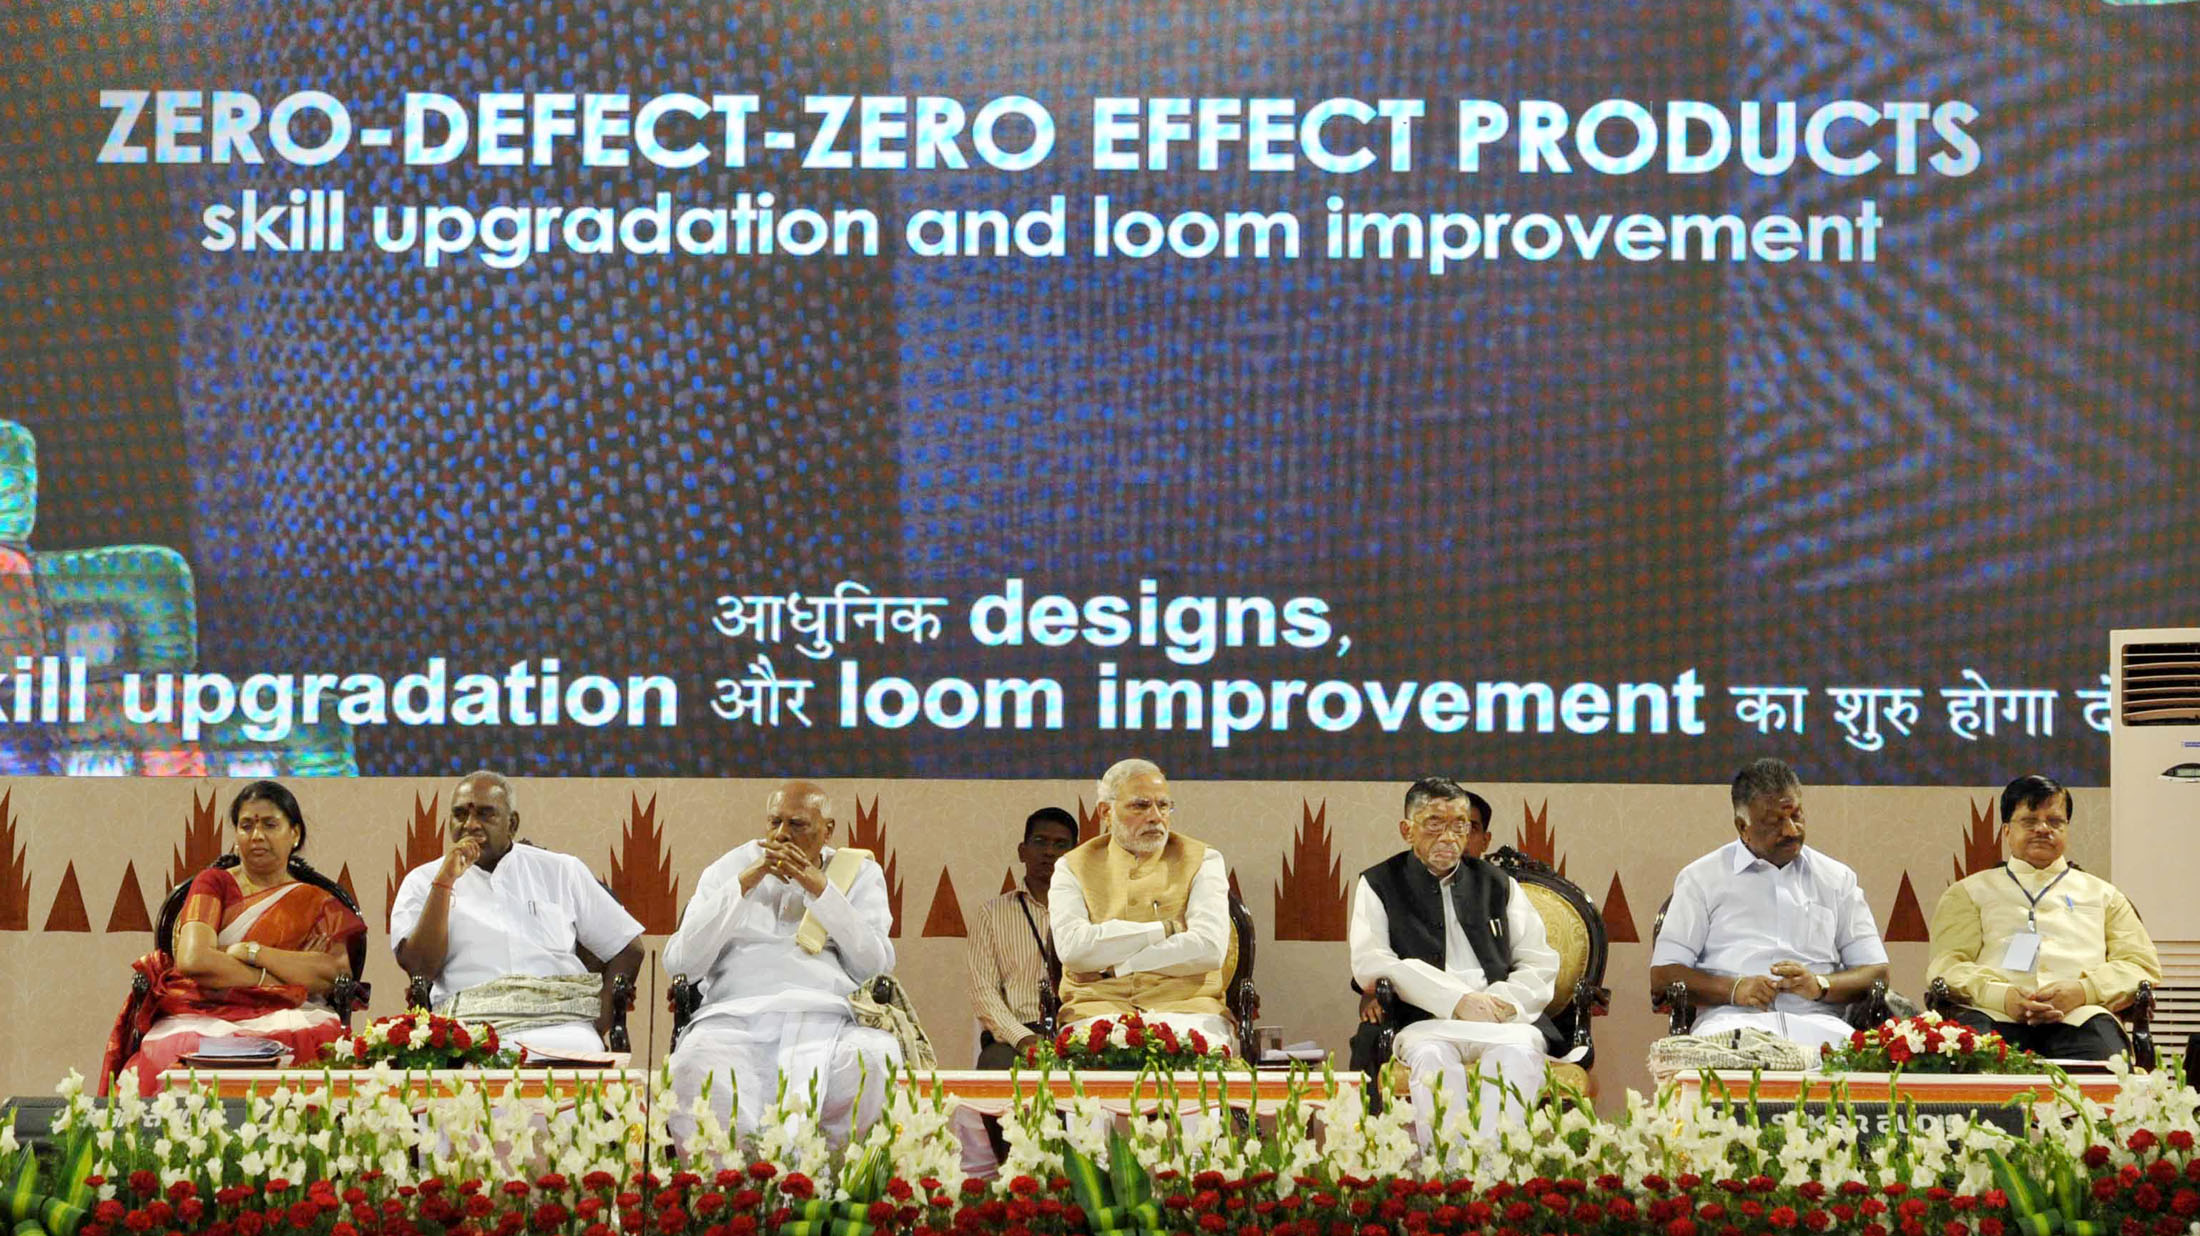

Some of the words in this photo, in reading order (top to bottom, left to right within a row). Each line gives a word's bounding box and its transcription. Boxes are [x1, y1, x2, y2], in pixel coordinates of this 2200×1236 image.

[89, 79, 358, 172] ZERO
[400, 81, 764, 178] DEFECT
[796, 85, 1065, 176] ZERO
[1085, 88, 1429, 178] EFFECT
[1454, 89, 1985, 186] PRODUCTS
[195, 178, 355, 262] skill
[363, 182, 885, 279] upgradation
[901, 189, 1072, 271] and
[1088, 189, 1304, 265] loom
[1314, 184, 1886, 281] improvement
[708, 574, 954, 665] आधुनिक
[961, 569, 1335, 671] designs
[0, 645, 99, 737] ill
[115, 649, 683, 752] upgradation
[701, 650, 820, 737] और
[834, 655, 1069, 737] loom
[1094, 658, 1712, 755] improvement
[1724, 678, 1815, 740] का
[1824, 680, 1928, 761] शुरु
[1932, 656, 2061, 746] होगा